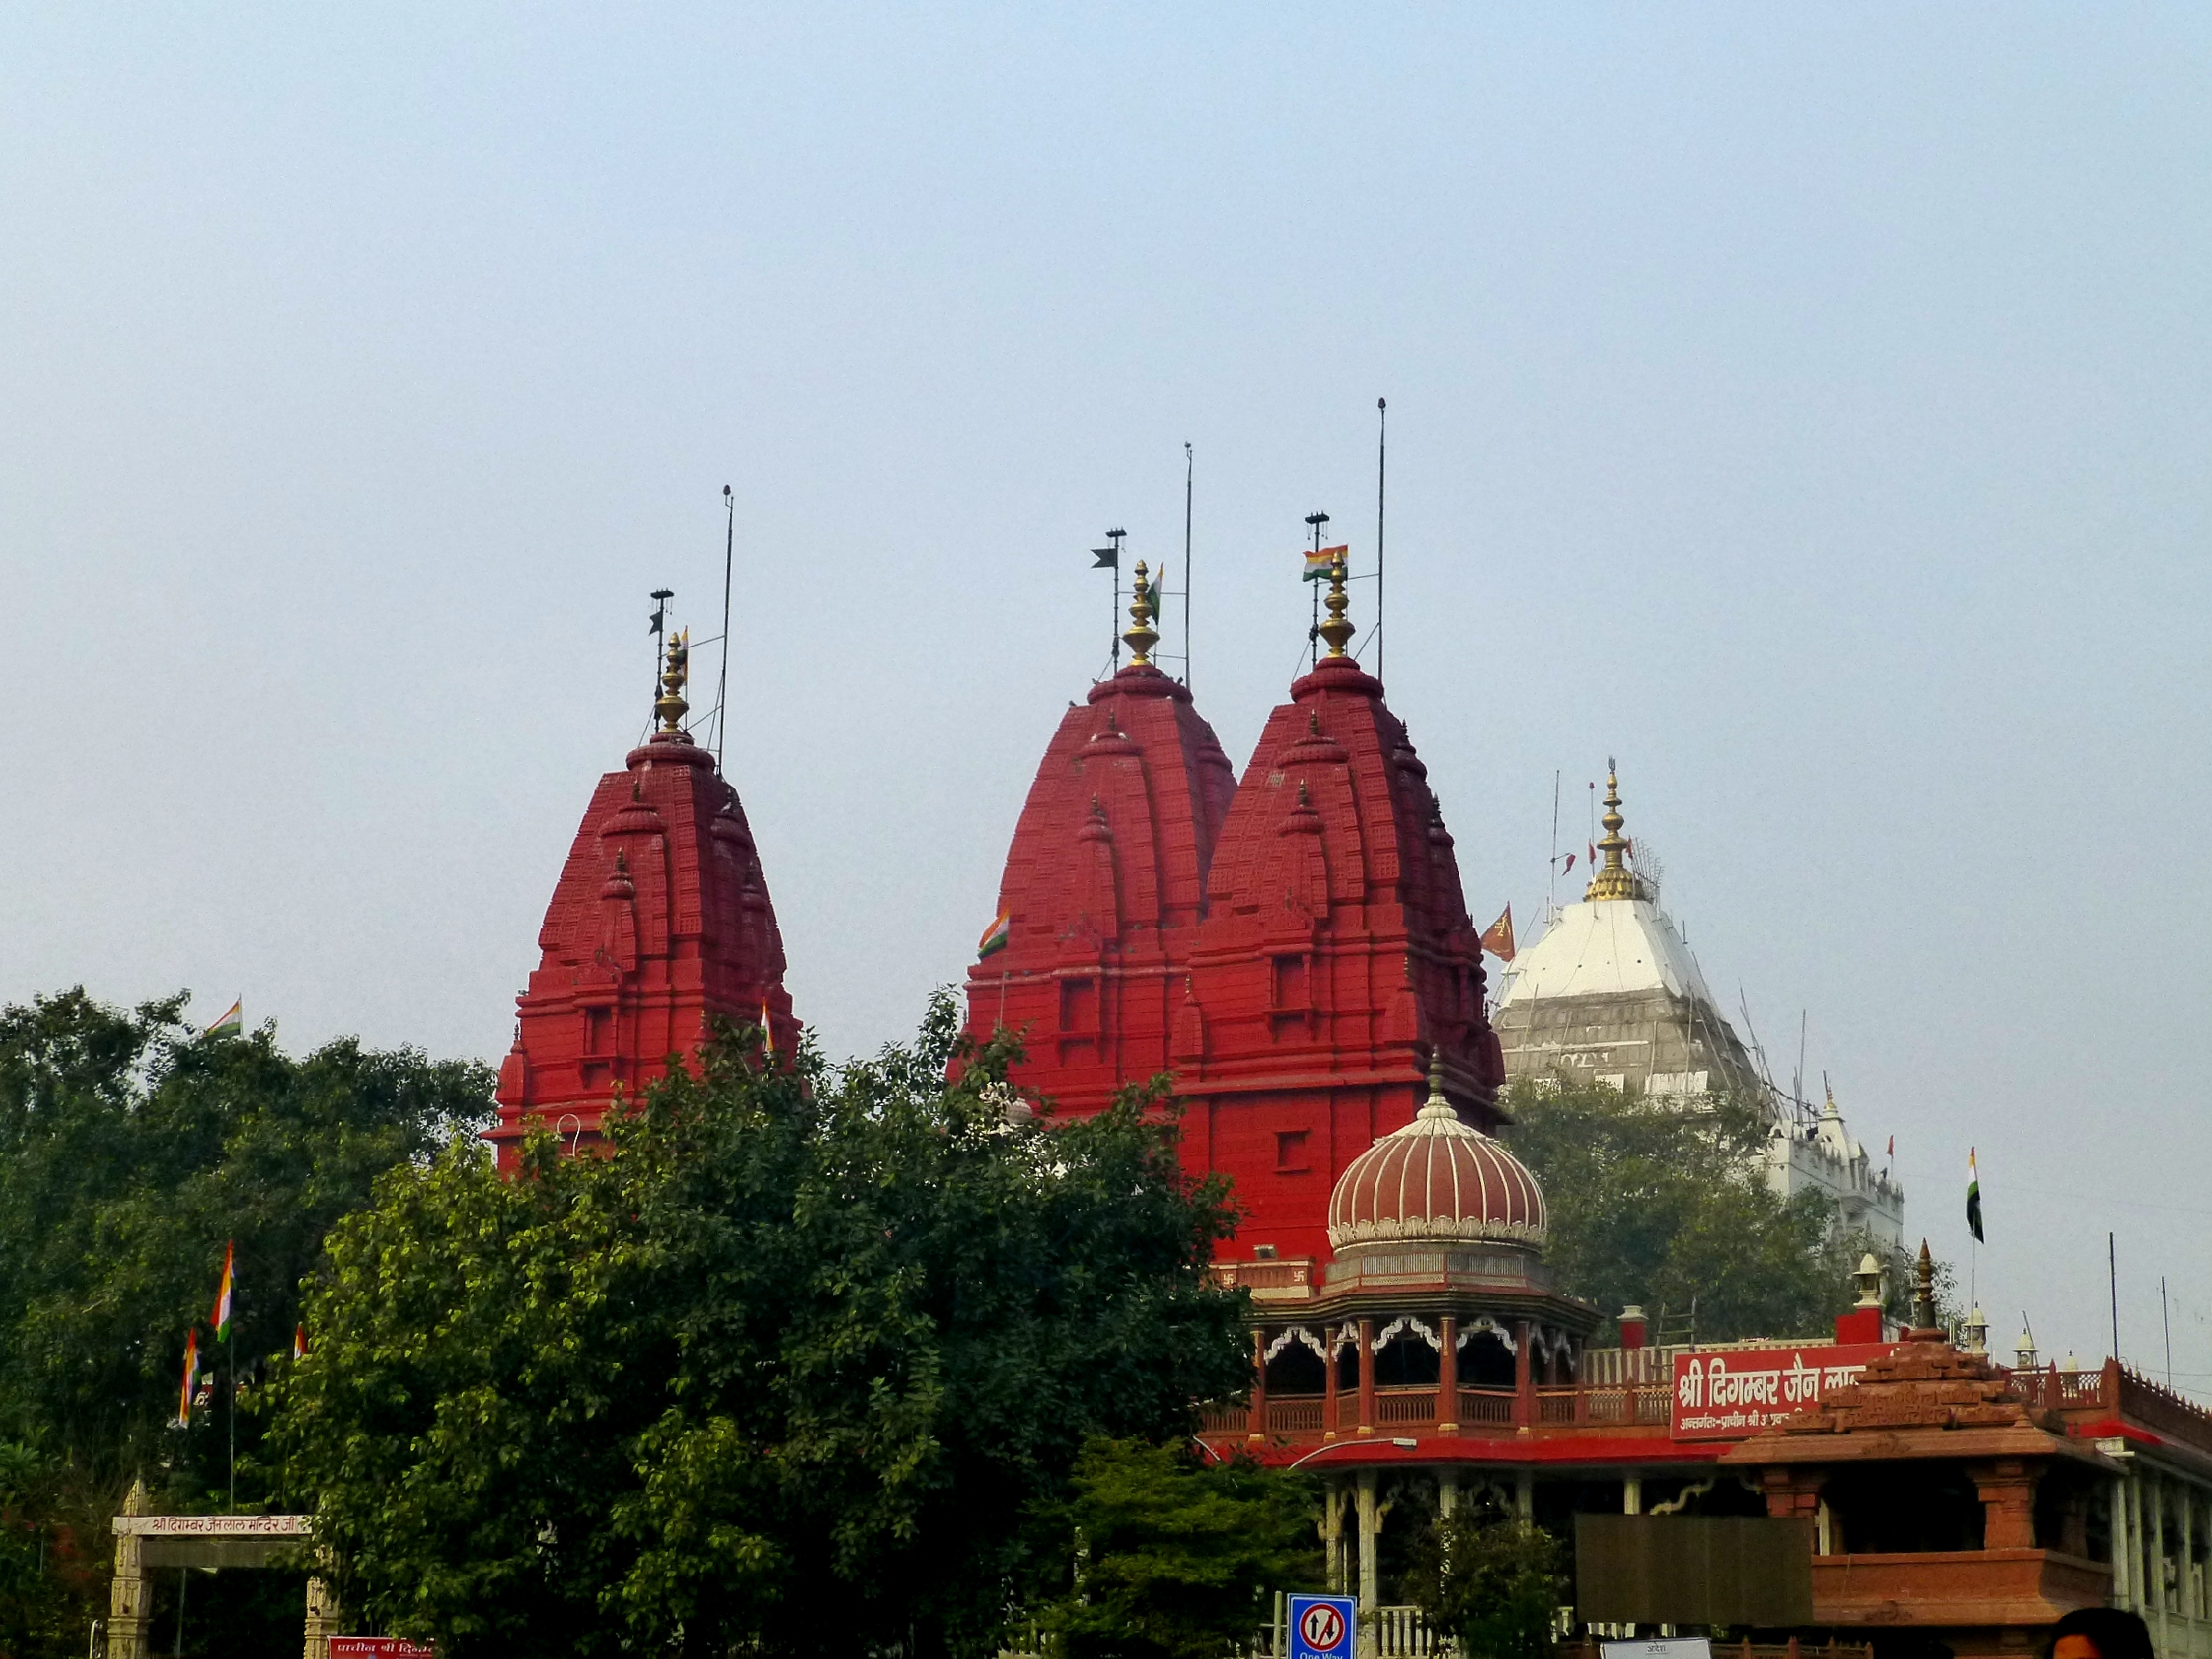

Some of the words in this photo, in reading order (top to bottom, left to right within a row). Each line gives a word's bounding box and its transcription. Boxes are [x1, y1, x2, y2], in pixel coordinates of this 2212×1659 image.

[1674, 1352, 1704, 1407] श्री
[1703, 1352, 1780, 1407] दिगम्बर
[1780, 1350, 1821, 1406] जैन
[1678, 1410, 1719, 1431] अन्तर्गतः-
[1718, 1406, 1747, 1430] प्राचीन
[150, 1514, 167, 1533] श्री
[165, 1514, 206, 1534] दिगम्बर
[204, 1514, 247, 1535] जैनलाल
[246, 1512, 281, 1534] मन्दिर
[279, 1512, 296, 1535] जॉं